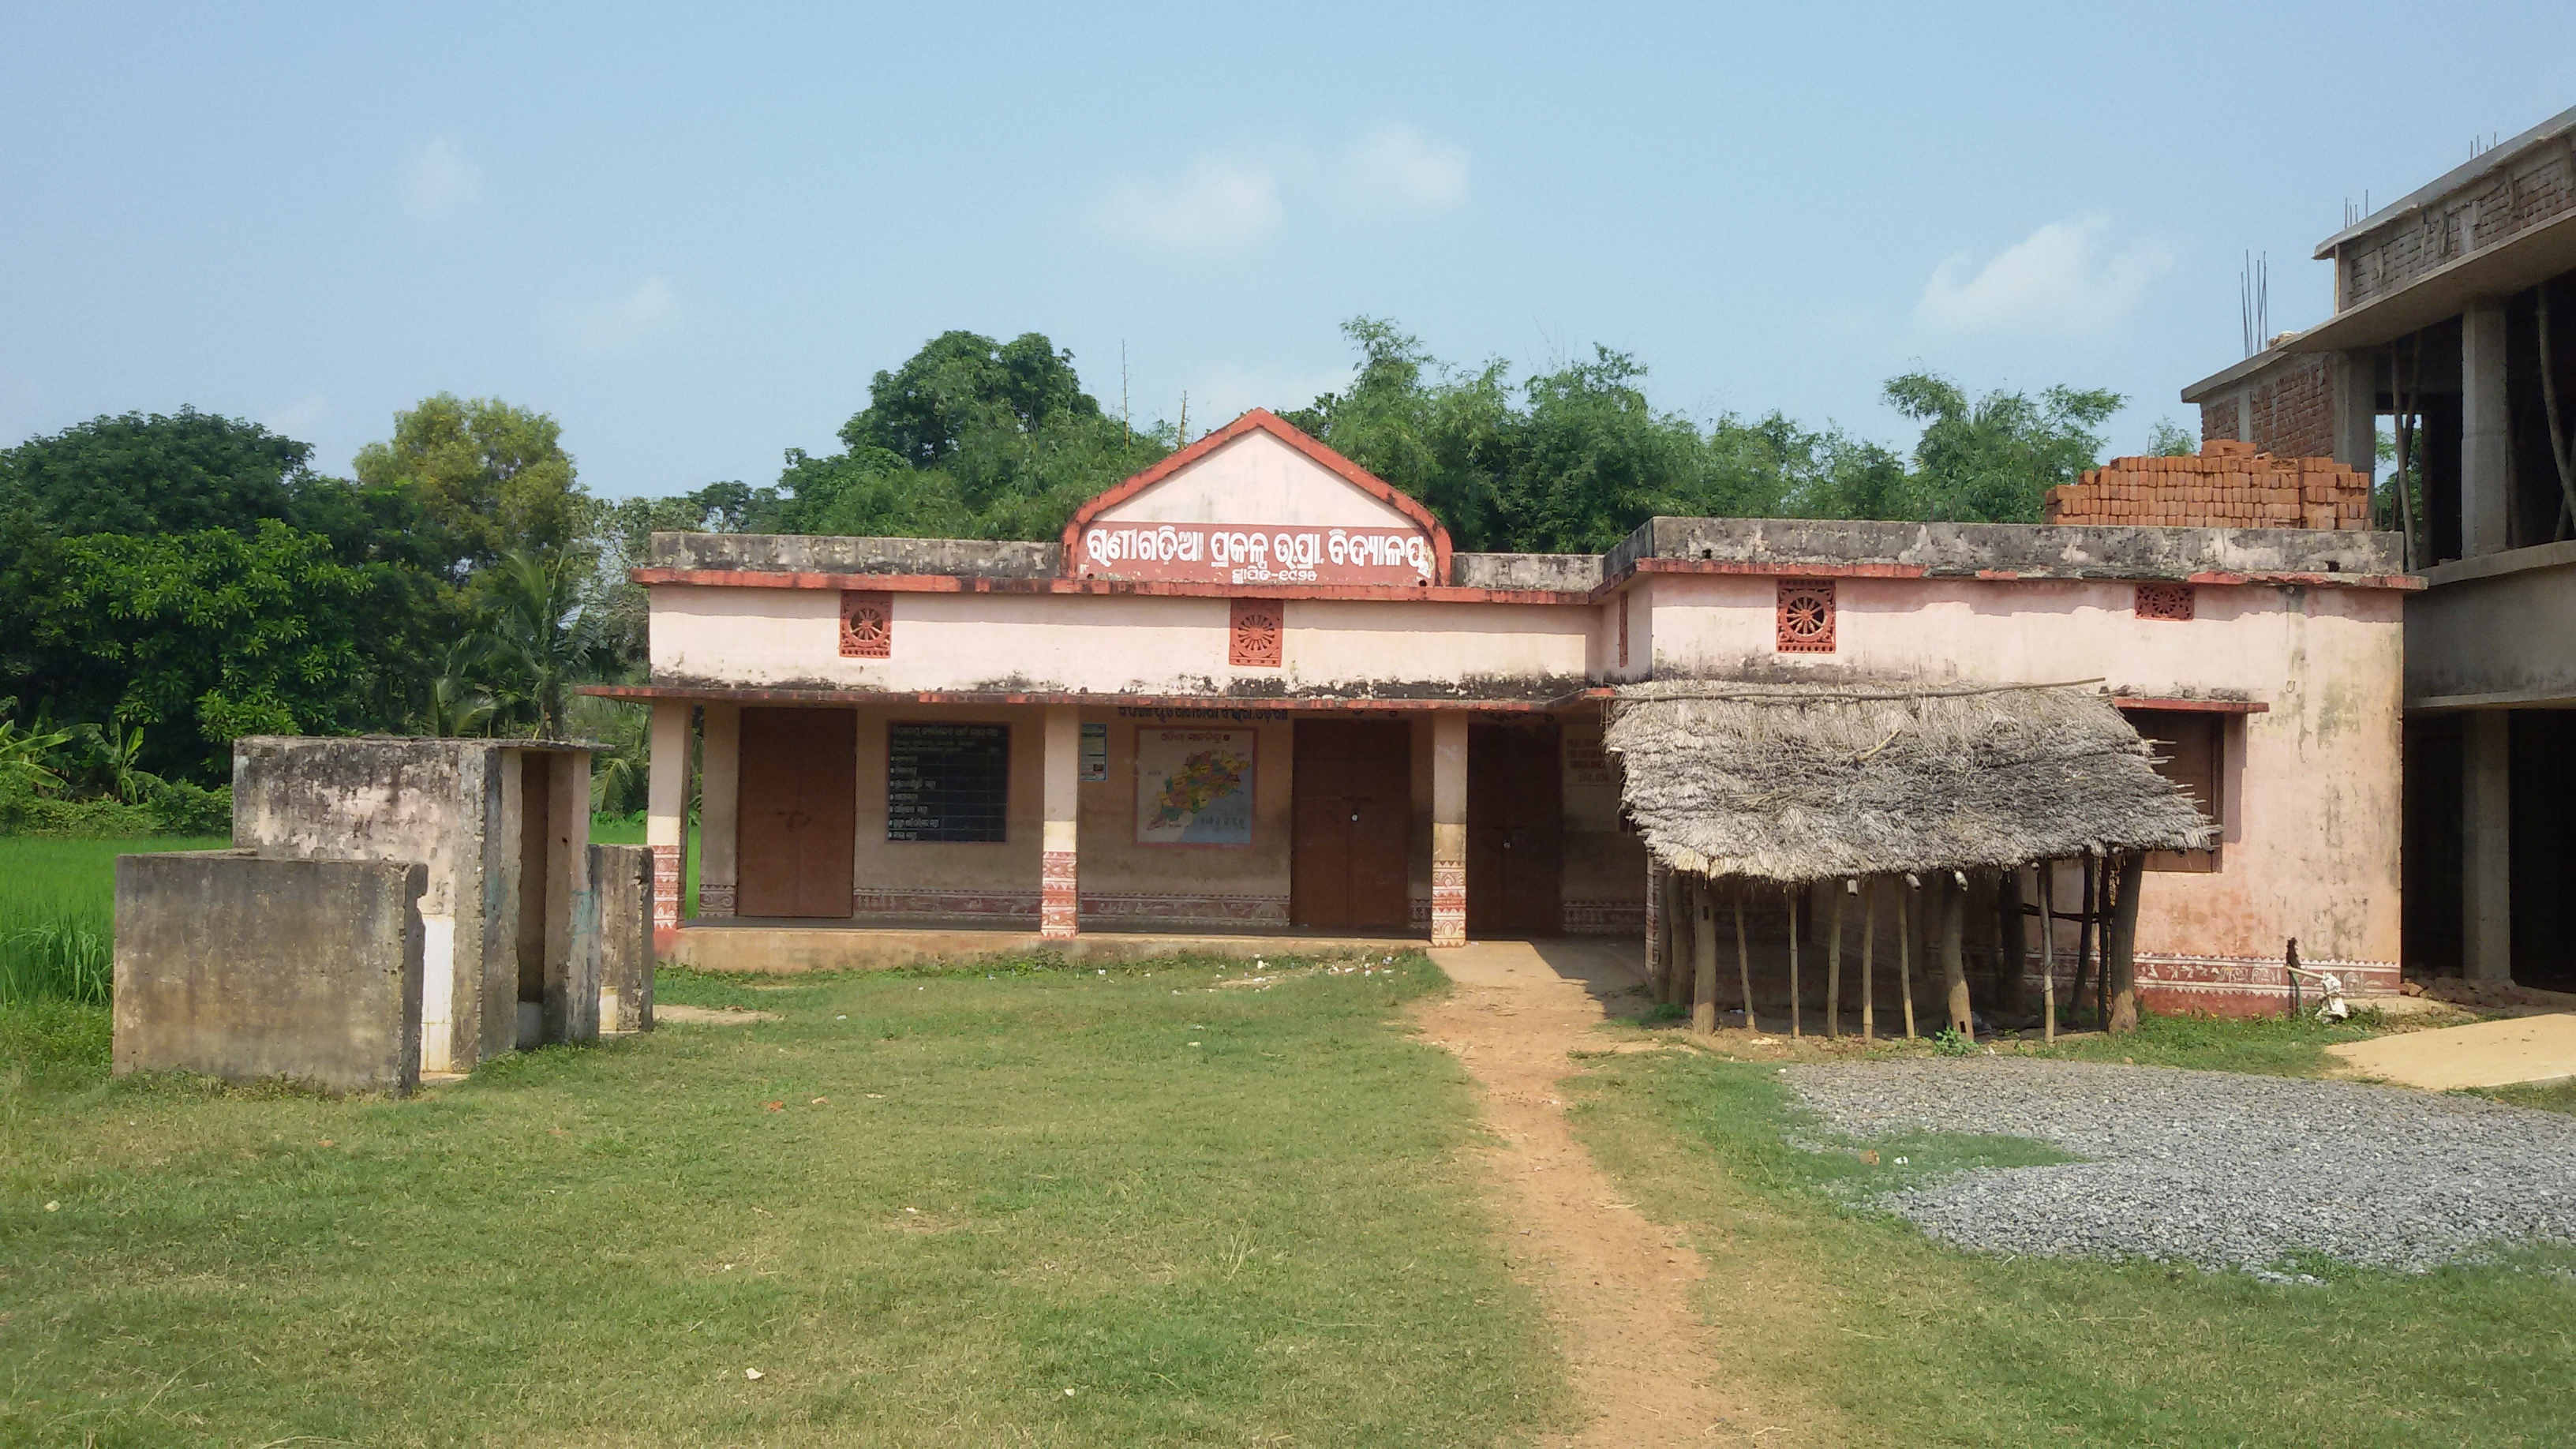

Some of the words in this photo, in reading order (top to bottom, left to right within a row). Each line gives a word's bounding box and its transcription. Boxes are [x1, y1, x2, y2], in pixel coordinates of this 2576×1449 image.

[1080, 520, 1210, 571] ର୍ଣ୍ଣୀଗଡ଼ିଆ
[1206, 524, 1328, 574] ପ୍ରକଳ୍ପ ଉ.ପ୍ରା.
[1229, 559, 1320, 590] ସ୍ଥାପିତ-୧୯୨୫
[1322, 522, 1435, 582] ବିଦ୍ୟାଳୟ